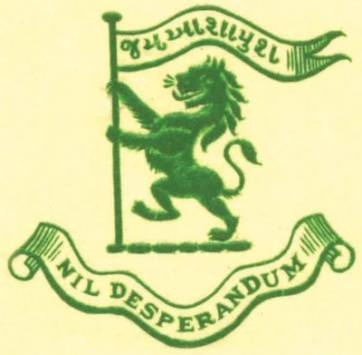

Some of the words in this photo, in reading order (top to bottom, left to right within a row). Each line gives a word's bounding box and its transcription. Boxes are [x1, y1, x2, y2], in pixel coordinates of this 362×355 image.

[116, 28, 168, 61] જય
[160, 12, 284, 71] આશાપુશ
[47, 246, 103, 304] NIL
[103, 246, 316, 338] DESPERANDUM